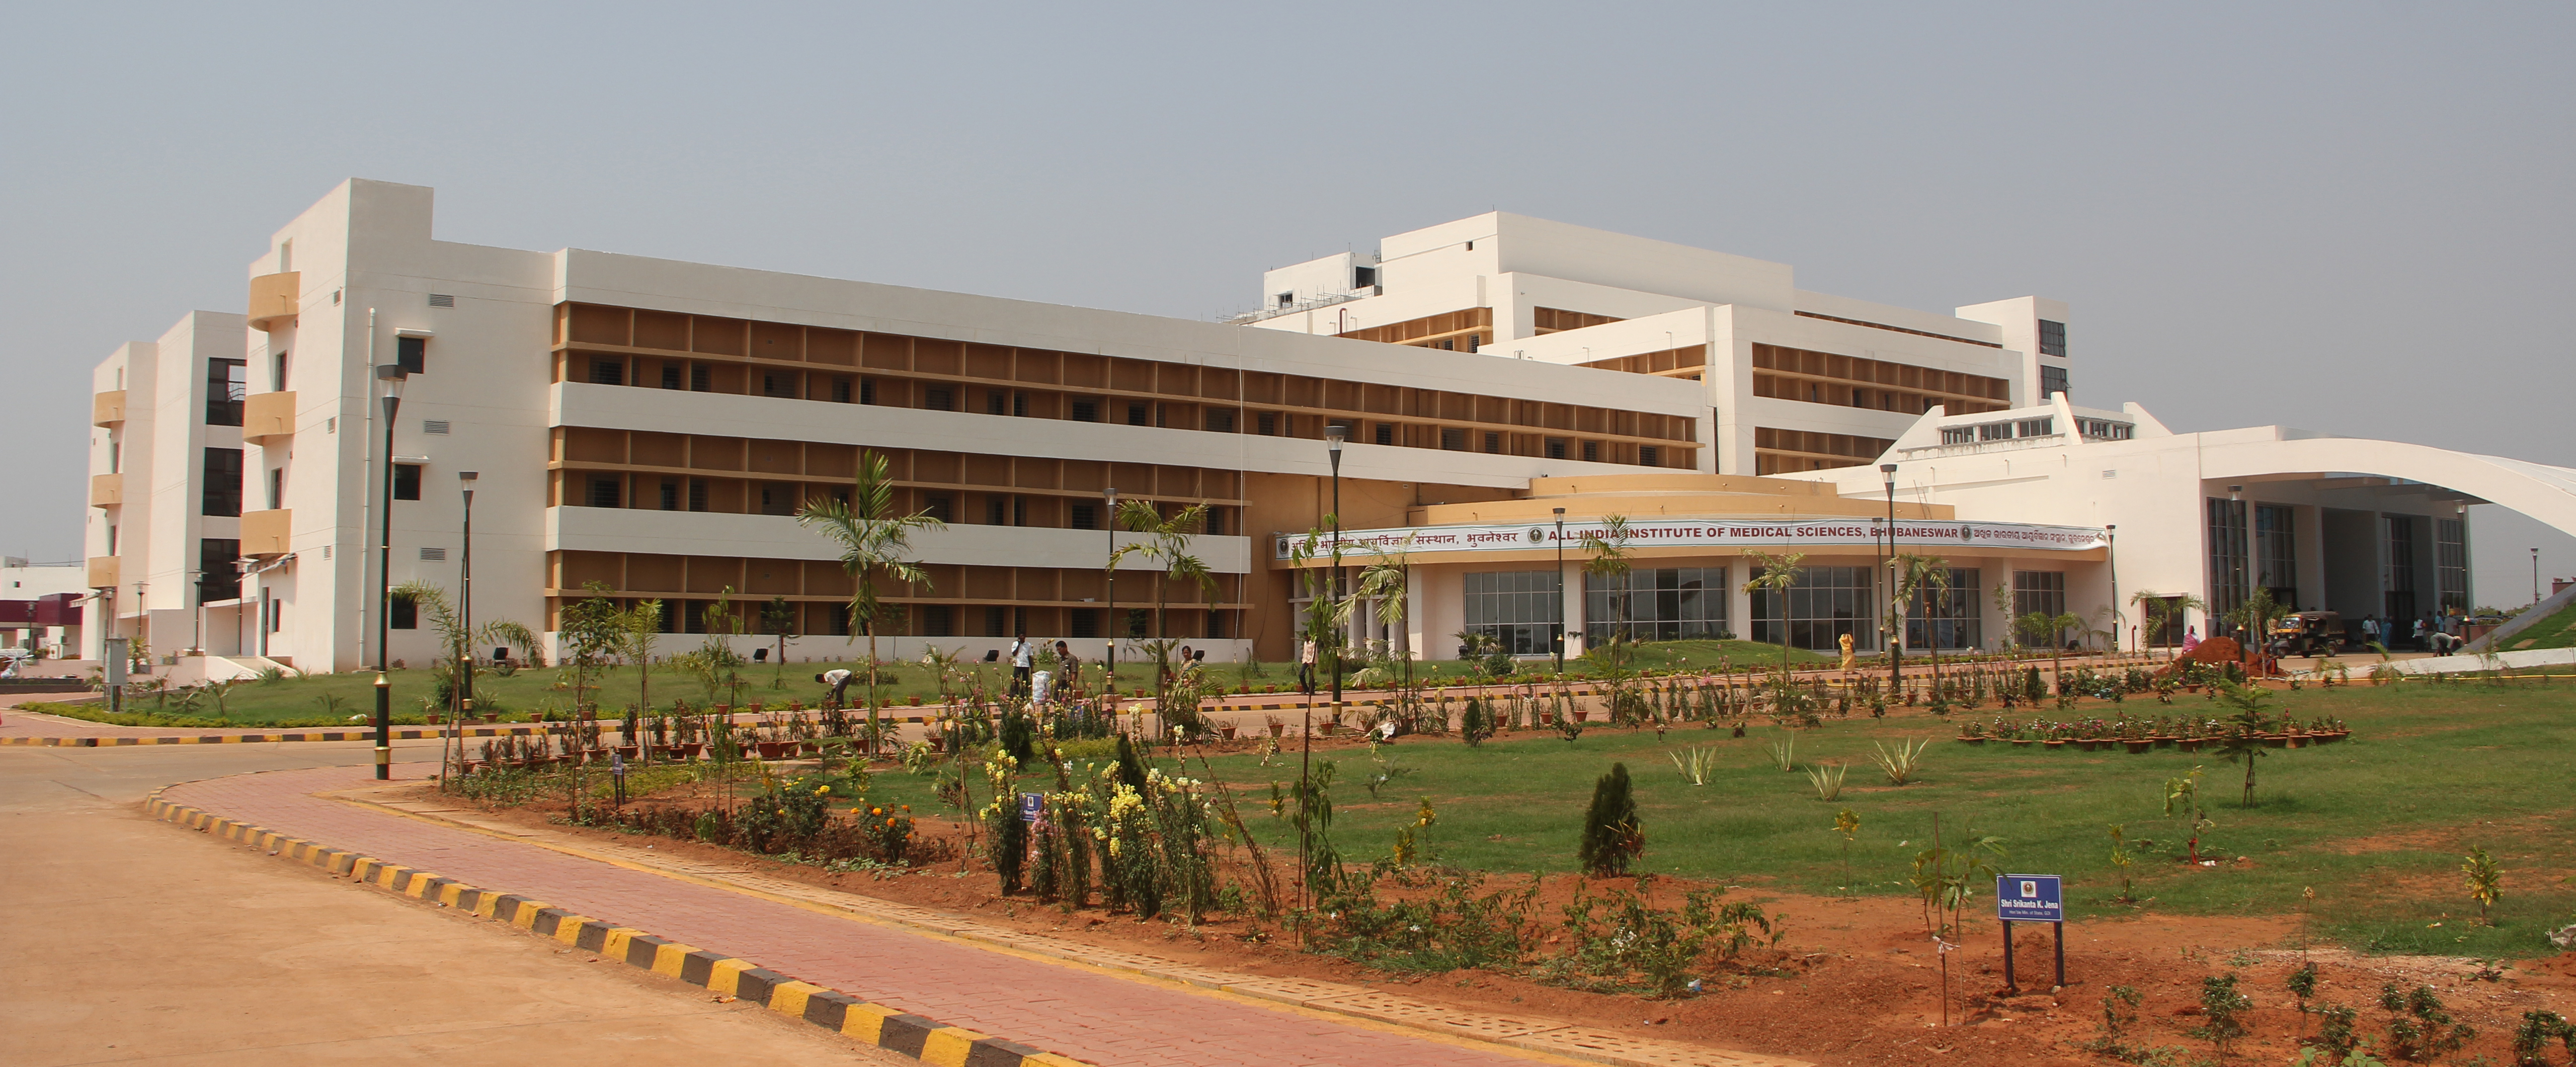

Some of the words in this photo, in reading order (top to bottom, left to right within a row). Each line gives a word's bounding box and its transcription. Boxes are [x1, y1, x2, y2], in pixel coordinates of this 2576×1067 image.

[1288, 535, 1320, 553] अखिल
[1318, 534, 1356, 551] भारतीय
[1357, 530, 1415, 550] आयुर्विज्ञान
[1415, 531, 1457, 547] संस्थान
[1464, 527, 1521, 550] भुवनेश्वर
[1547, 529, 1578, 543] ALL
[1577, 526, 1621, 541] INDIA
[1622, 525, 1702, 540] INSTITUTE
[1705, 524, 1726, 540] OF
[1728, 525, 1793, 539] MEDICAL
[1793, 523, 1865, 537] SCIENCES
[1869, 525, 1959, 540] BHUBANESWAR
[1973, 525, 1994, 541] ଅଖୁଳ
[1991, 526, 2021, 542] ଭାରତୀୟ
[2019, 526, 2051, 544] ଆୟୁବିଜ୍ଞାନ
[2065, 531, 2096, 546] ଭୁବନେଶ୍ୱର
[1996, 894, 2015, 910] Shri
[2011, 896, 2038, 910] Srikanta
[2035, 896, 2061, 910] K.Jena